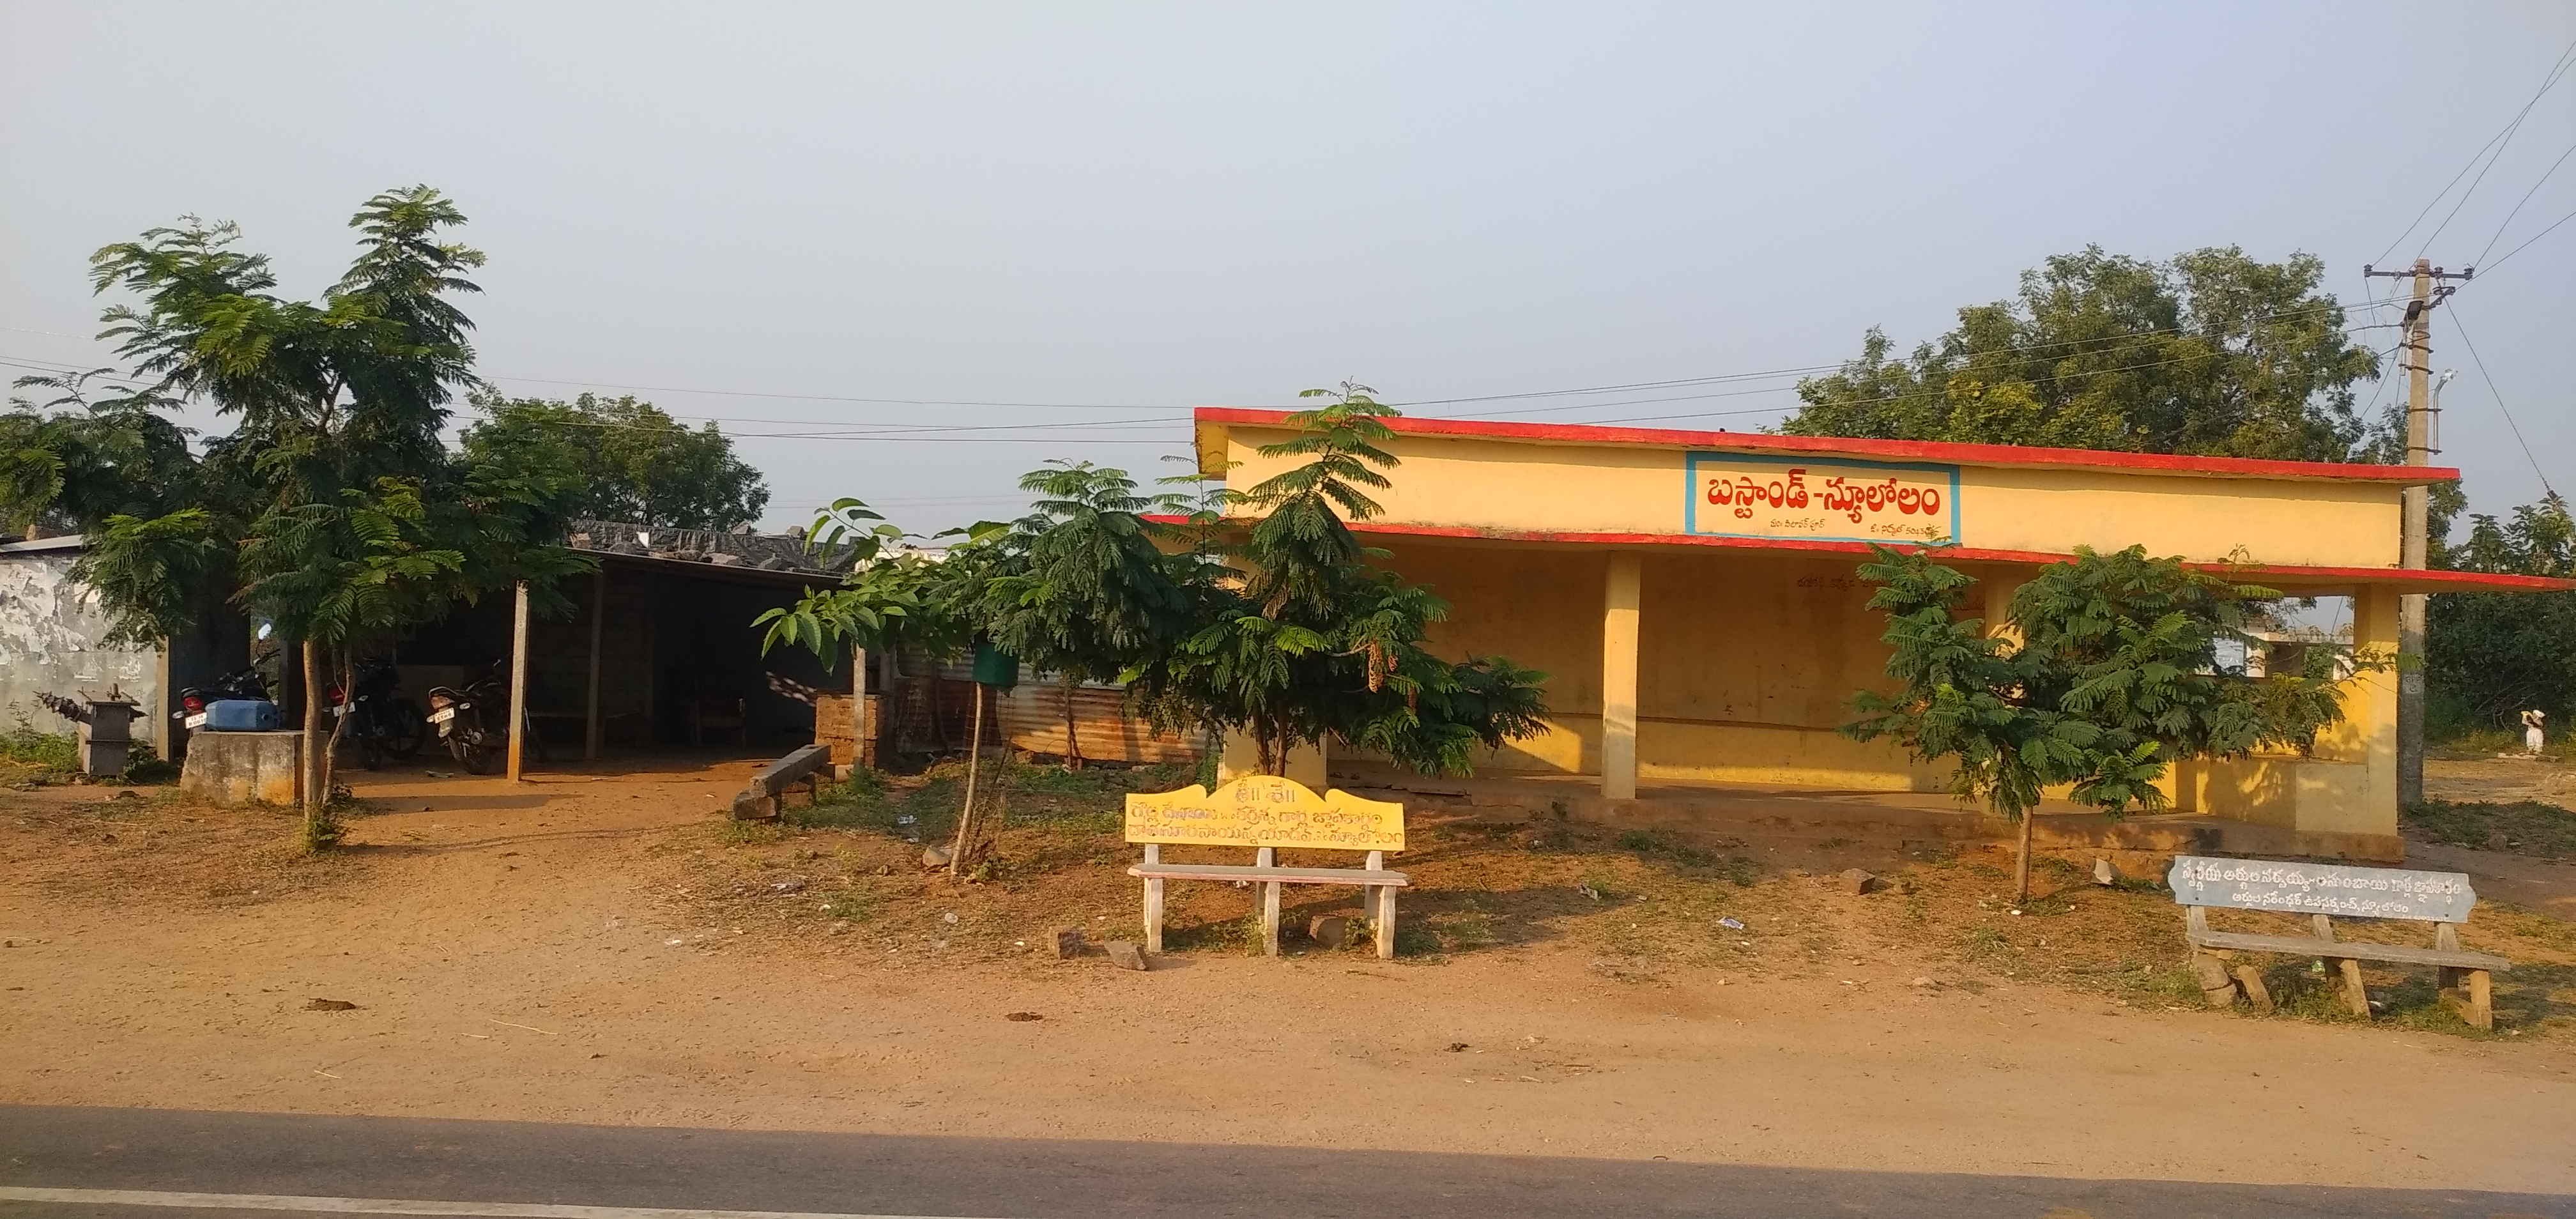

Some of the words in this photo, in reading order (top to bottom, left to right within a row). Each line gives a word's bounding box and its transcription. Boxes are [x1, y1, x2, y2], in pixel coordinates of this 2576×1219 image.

[1702, 466, 1809, 523] బస్టాండ్
[1820, 475, 1941, 528] న్యూలోలం
[1782, 514, 1828, 535] సిలావర్ పూర్
[1902, 523, 1941, 540] 50430
[1124, 795, 1163, 825] గొల్ల
[1123, 817, 1261, 848] దాత సూరసాయన్న
[1227, 799, 1313, 831] కర్రన్నగార్ల
[1257, 818, 1317, 844] యాడవ
[1307, 803, 1386, 833] జ్ఞాపకార్ధం
[1370, 825, 1406, 848] లం
[2179, 854, 2225, 895] స్వర్గీయ
[2228, 885, 2264, 908] అర్గల
[2217, 862, 2317, 895] అర్గుల నర్సయ్య
[2261, 886, 2303, 909] నరేంధర్
[2303, 889, 2361, 916] ఉపసర్పంచ్,
[2313, 868, 2393, 894] లఘుంబాయి
[2357, 898, 2411, 917] న్యూలోలం
[2386, 871, 2414, 901] గార్ల
[2411, 871, 2465, 909] జ్ఞాపకార్థం